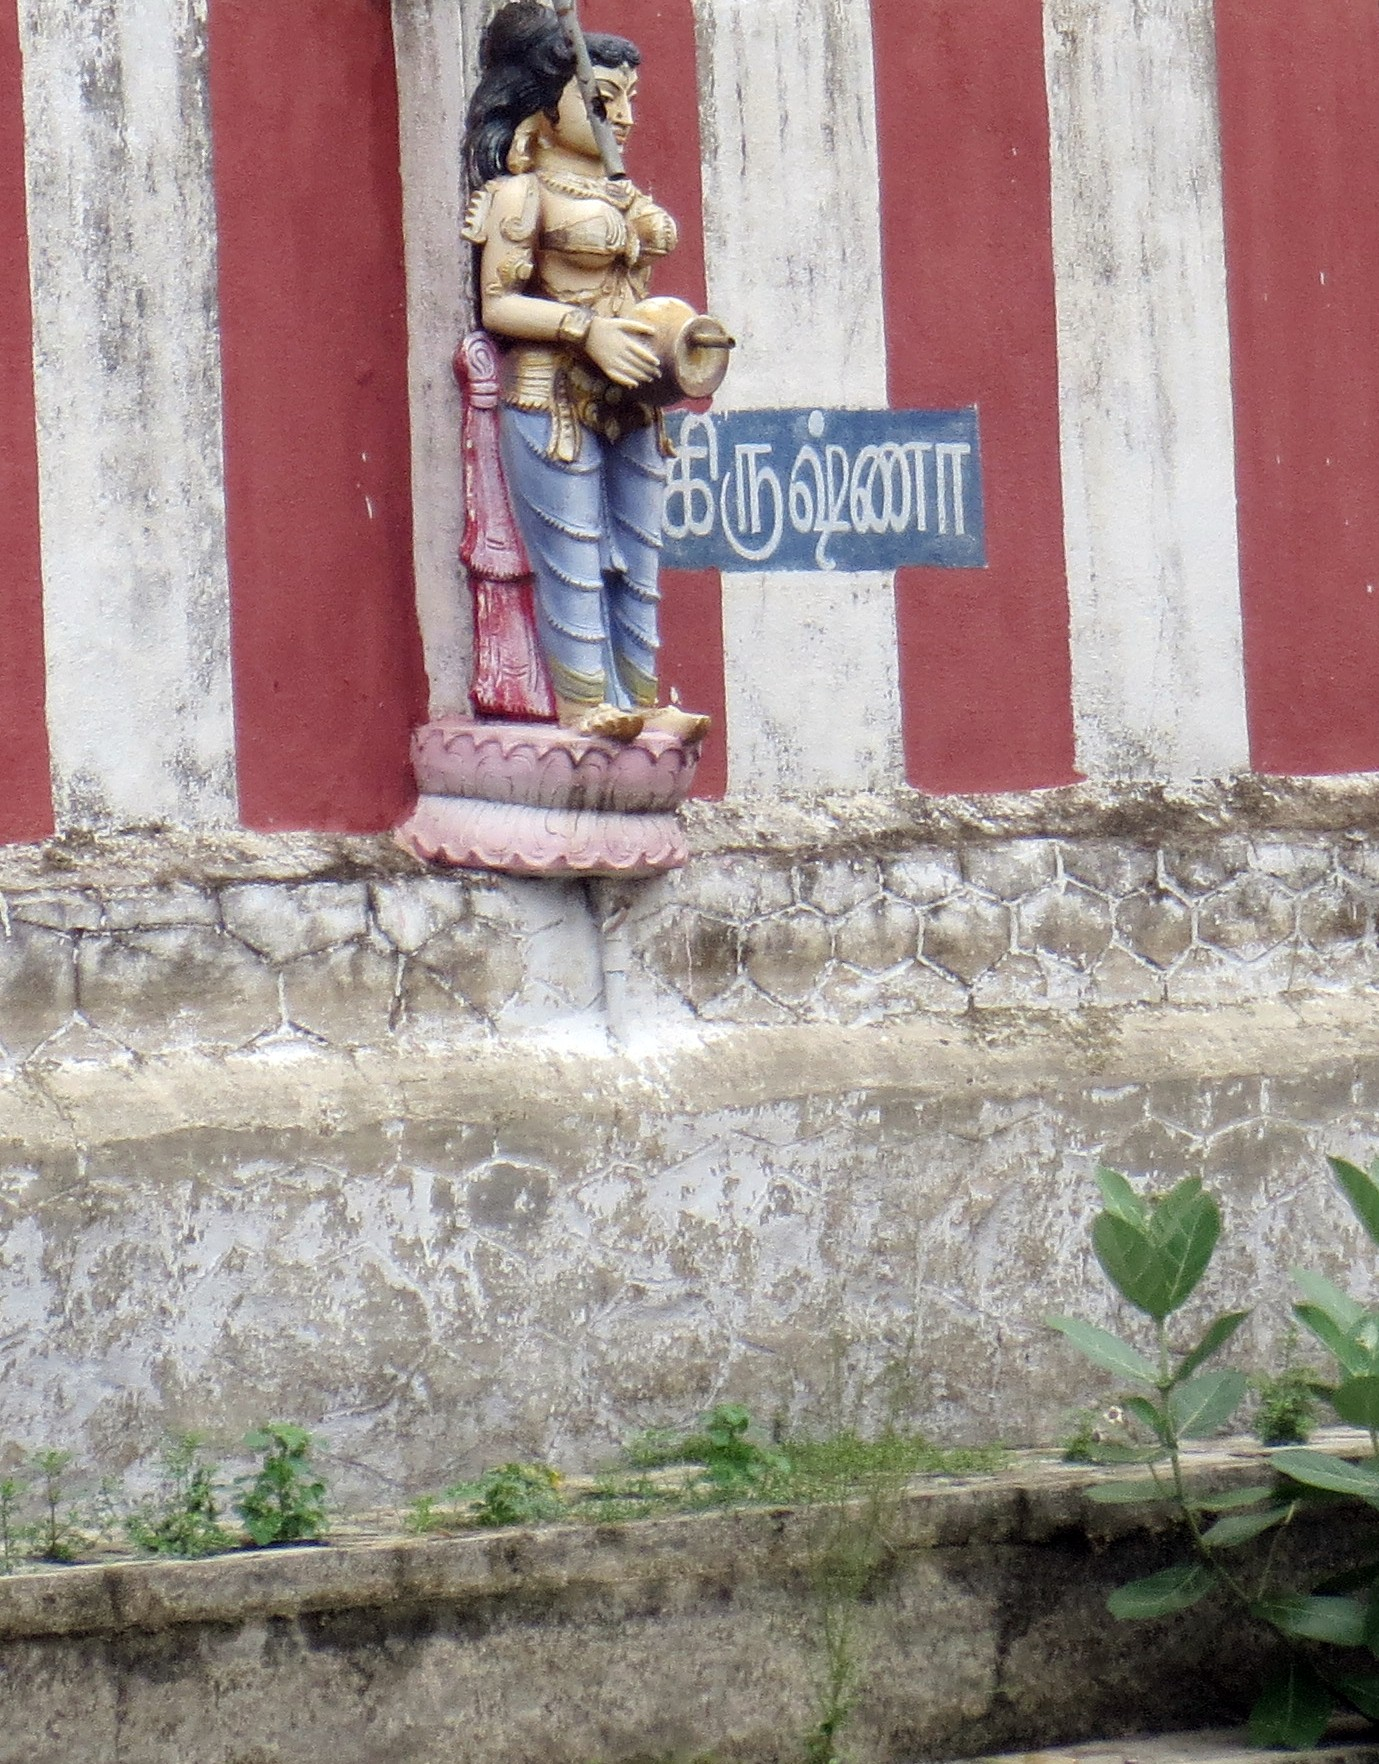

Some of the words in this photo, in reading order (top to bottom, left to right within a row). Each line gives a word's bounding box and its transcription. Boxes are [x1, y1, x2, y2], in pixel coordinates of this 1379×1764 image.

[648, 403, 975, 577] கிருஷ்ணா